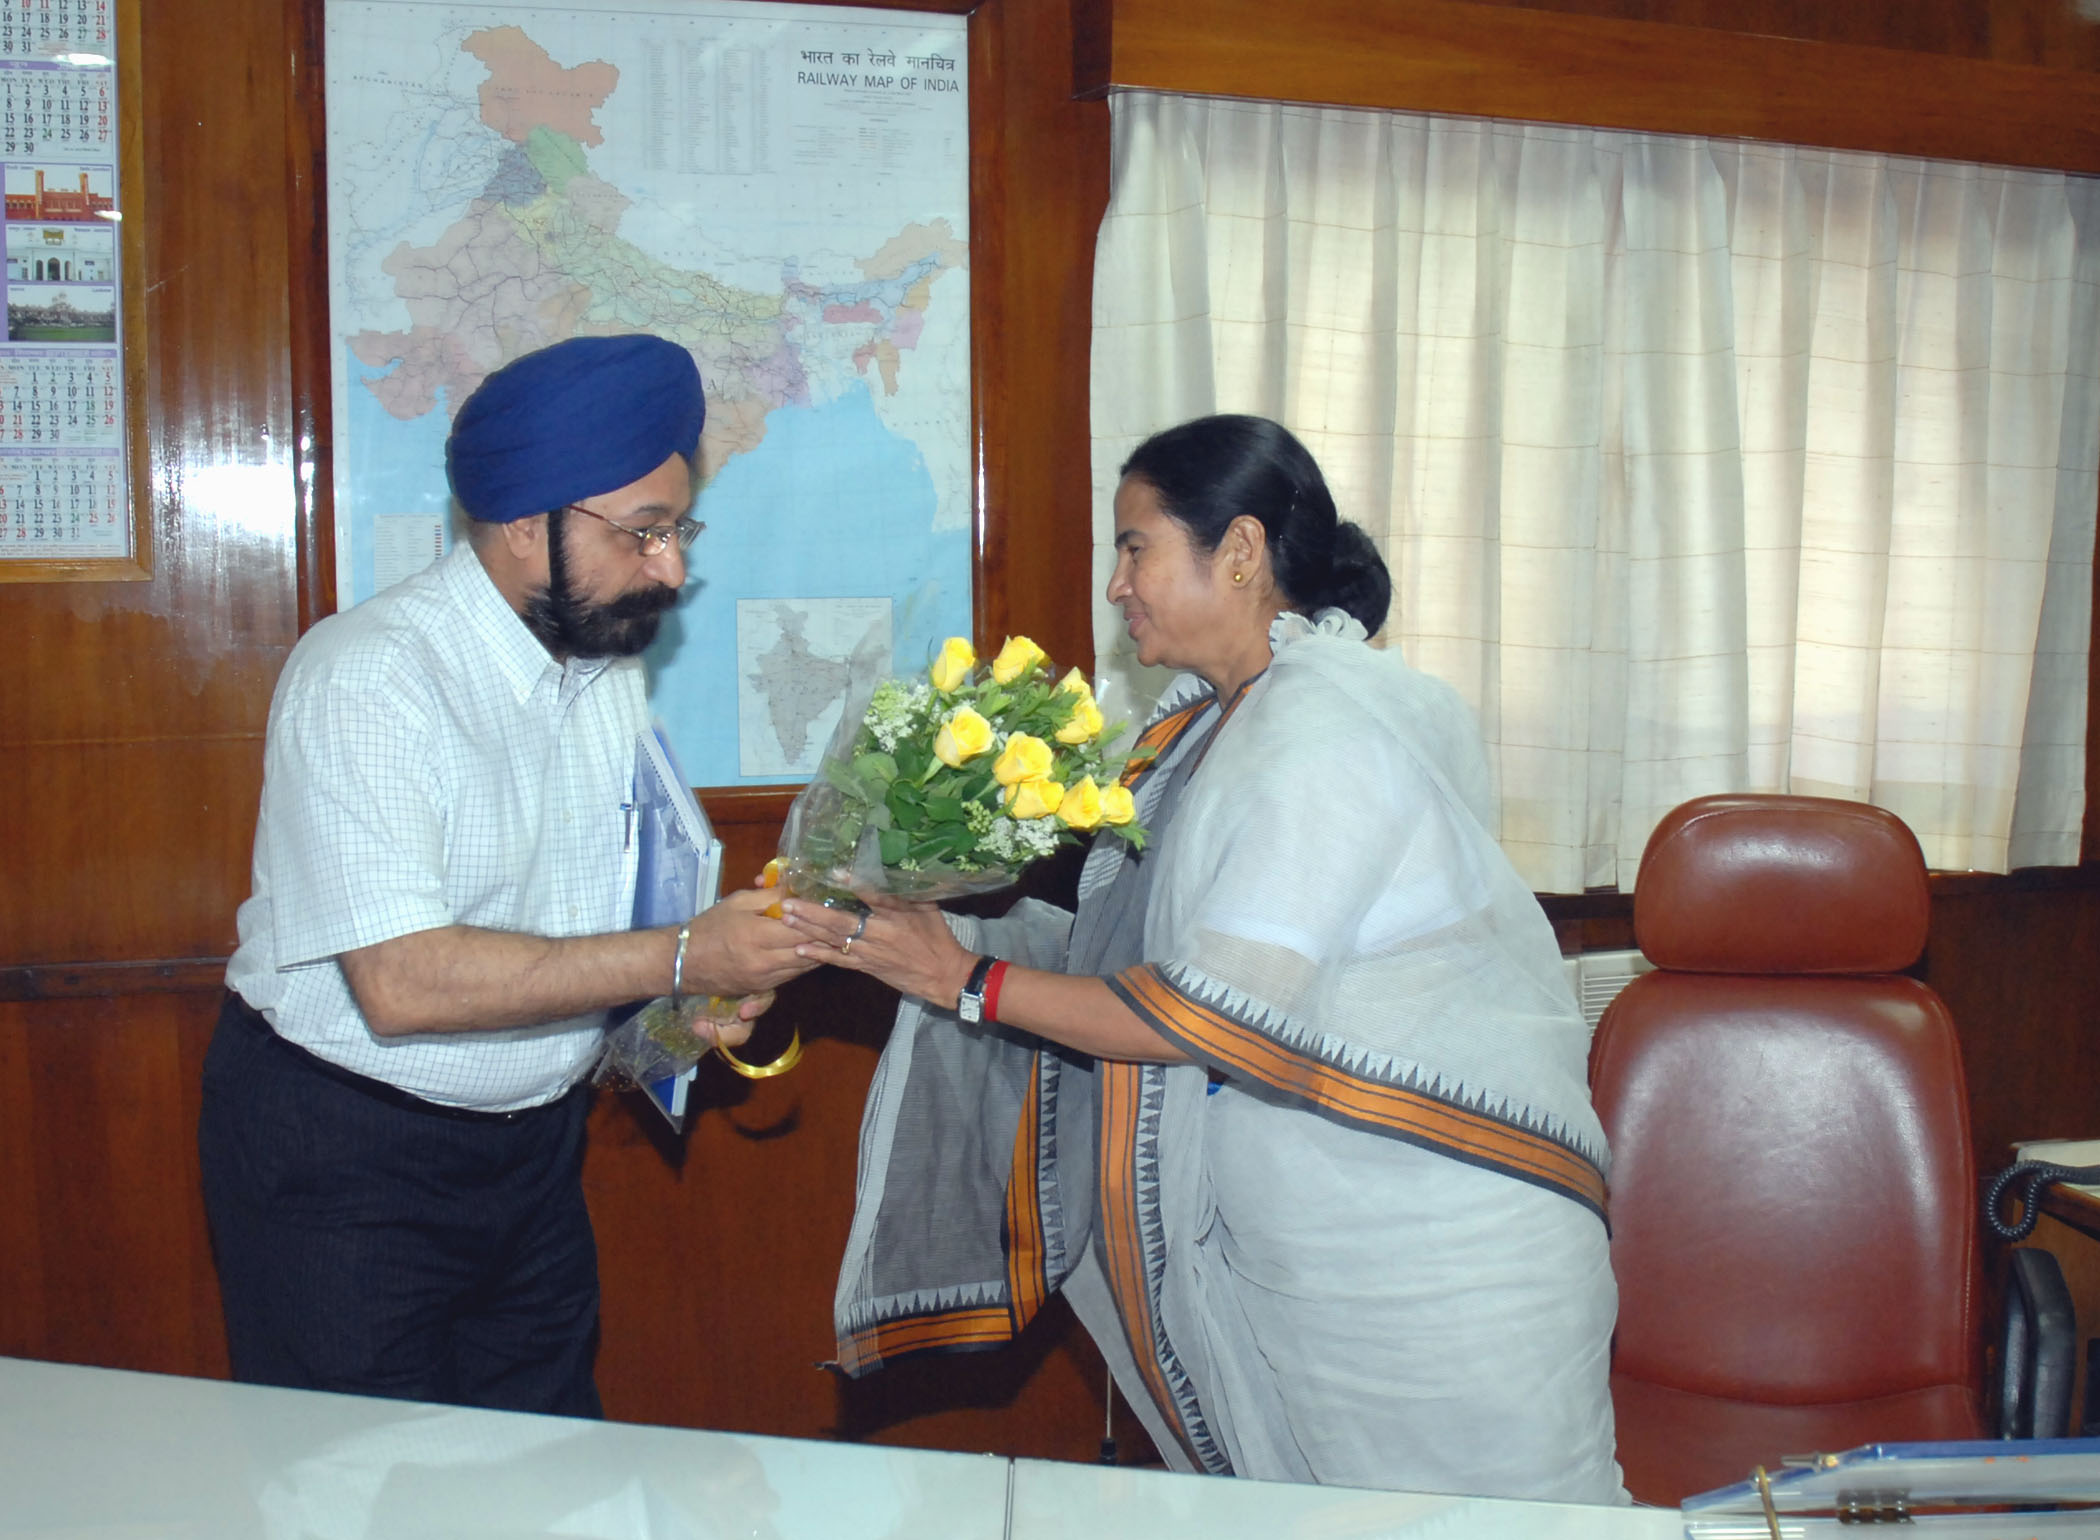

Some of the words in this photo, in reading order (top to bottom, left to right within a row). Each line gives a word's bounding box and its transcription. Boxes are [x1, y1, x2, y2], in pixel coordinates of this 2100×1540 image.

[799, 48, 836, 67] भारत
[839, 50, 862, 69] का
[863, 46, 899, 68] रेलवे
[904, 51, 957, 73] मानचित्र
[796, 70, 861, 87] RAILWAY
[861, 73, 896, 89] MAP
[897, 74, 917, 93] OF
[922, 76, 963, 93] INDIA